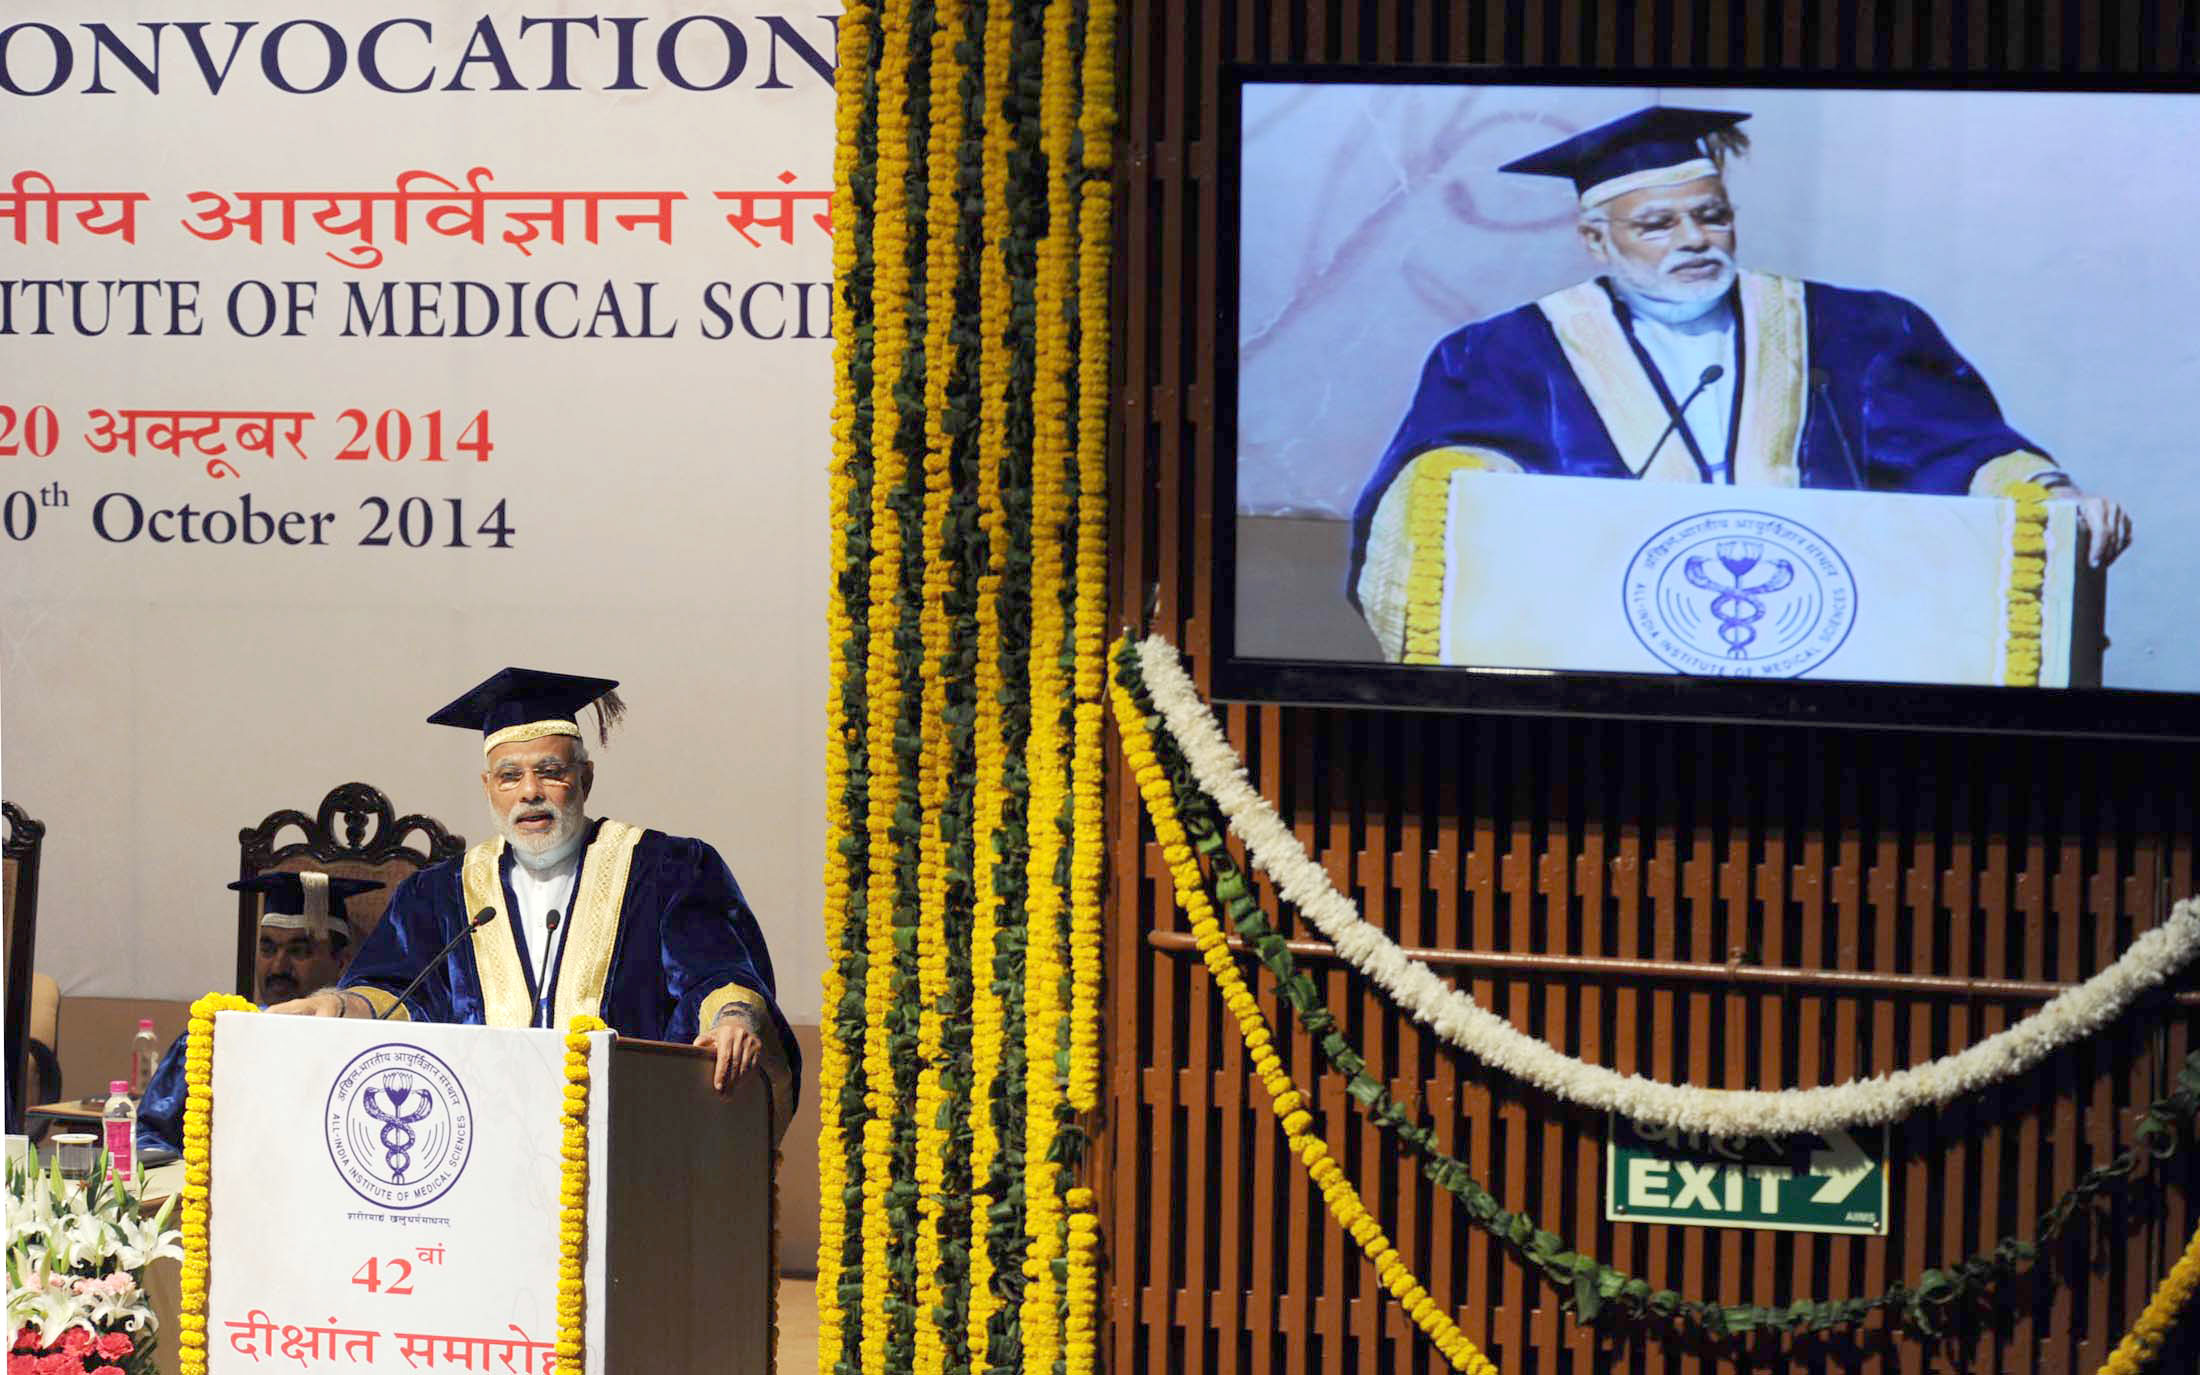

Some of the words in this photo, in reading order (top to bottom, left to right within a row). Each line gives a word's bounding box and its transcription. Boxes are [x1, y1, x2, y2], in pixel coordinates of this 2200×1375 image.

[4, 5, 853, 111] ONVOCATION
[3, 158, 148, 253] नीय
[180, 151, 691, 277] आयुर्विज्ञान
[711, 159, 845, 257] संर
[219, 271, 323, 347] OF
[332, 272, 687, 357] MEDICAL
[81, 389, 311, 491] अक्टूबर
[319, 392, 504, 479] 2014
[0, 482, 71, 546] 0th
[351, 488, 515, 555] 2014
[327, 1110, 346, 1137] ALL
[325, 1135, 356, 1173] INDIA
[331, 1061, 363, 1104] अखिल
[341, 1163, 395, 1204] INSTITUTE
[353, 1041, 395, 1077] भारतीय
[391, 1185, 412, 1207] OF
[388, 1047, 445, 1081] आयुर्विज्ञान
[407, 1167, 456, 1205] MEDICAL
[437, 1071, 465, 1109] संस्थान
[442, 1111, 470, 1173] SCIENCES
[1616, 1148, 1802, 1216] EXIT
[341, 1230, 451, 1302] 42 वां
[225, 1304, 381, 1375] दीक्षांत
[396, 1307, 568, 1374] समारोह